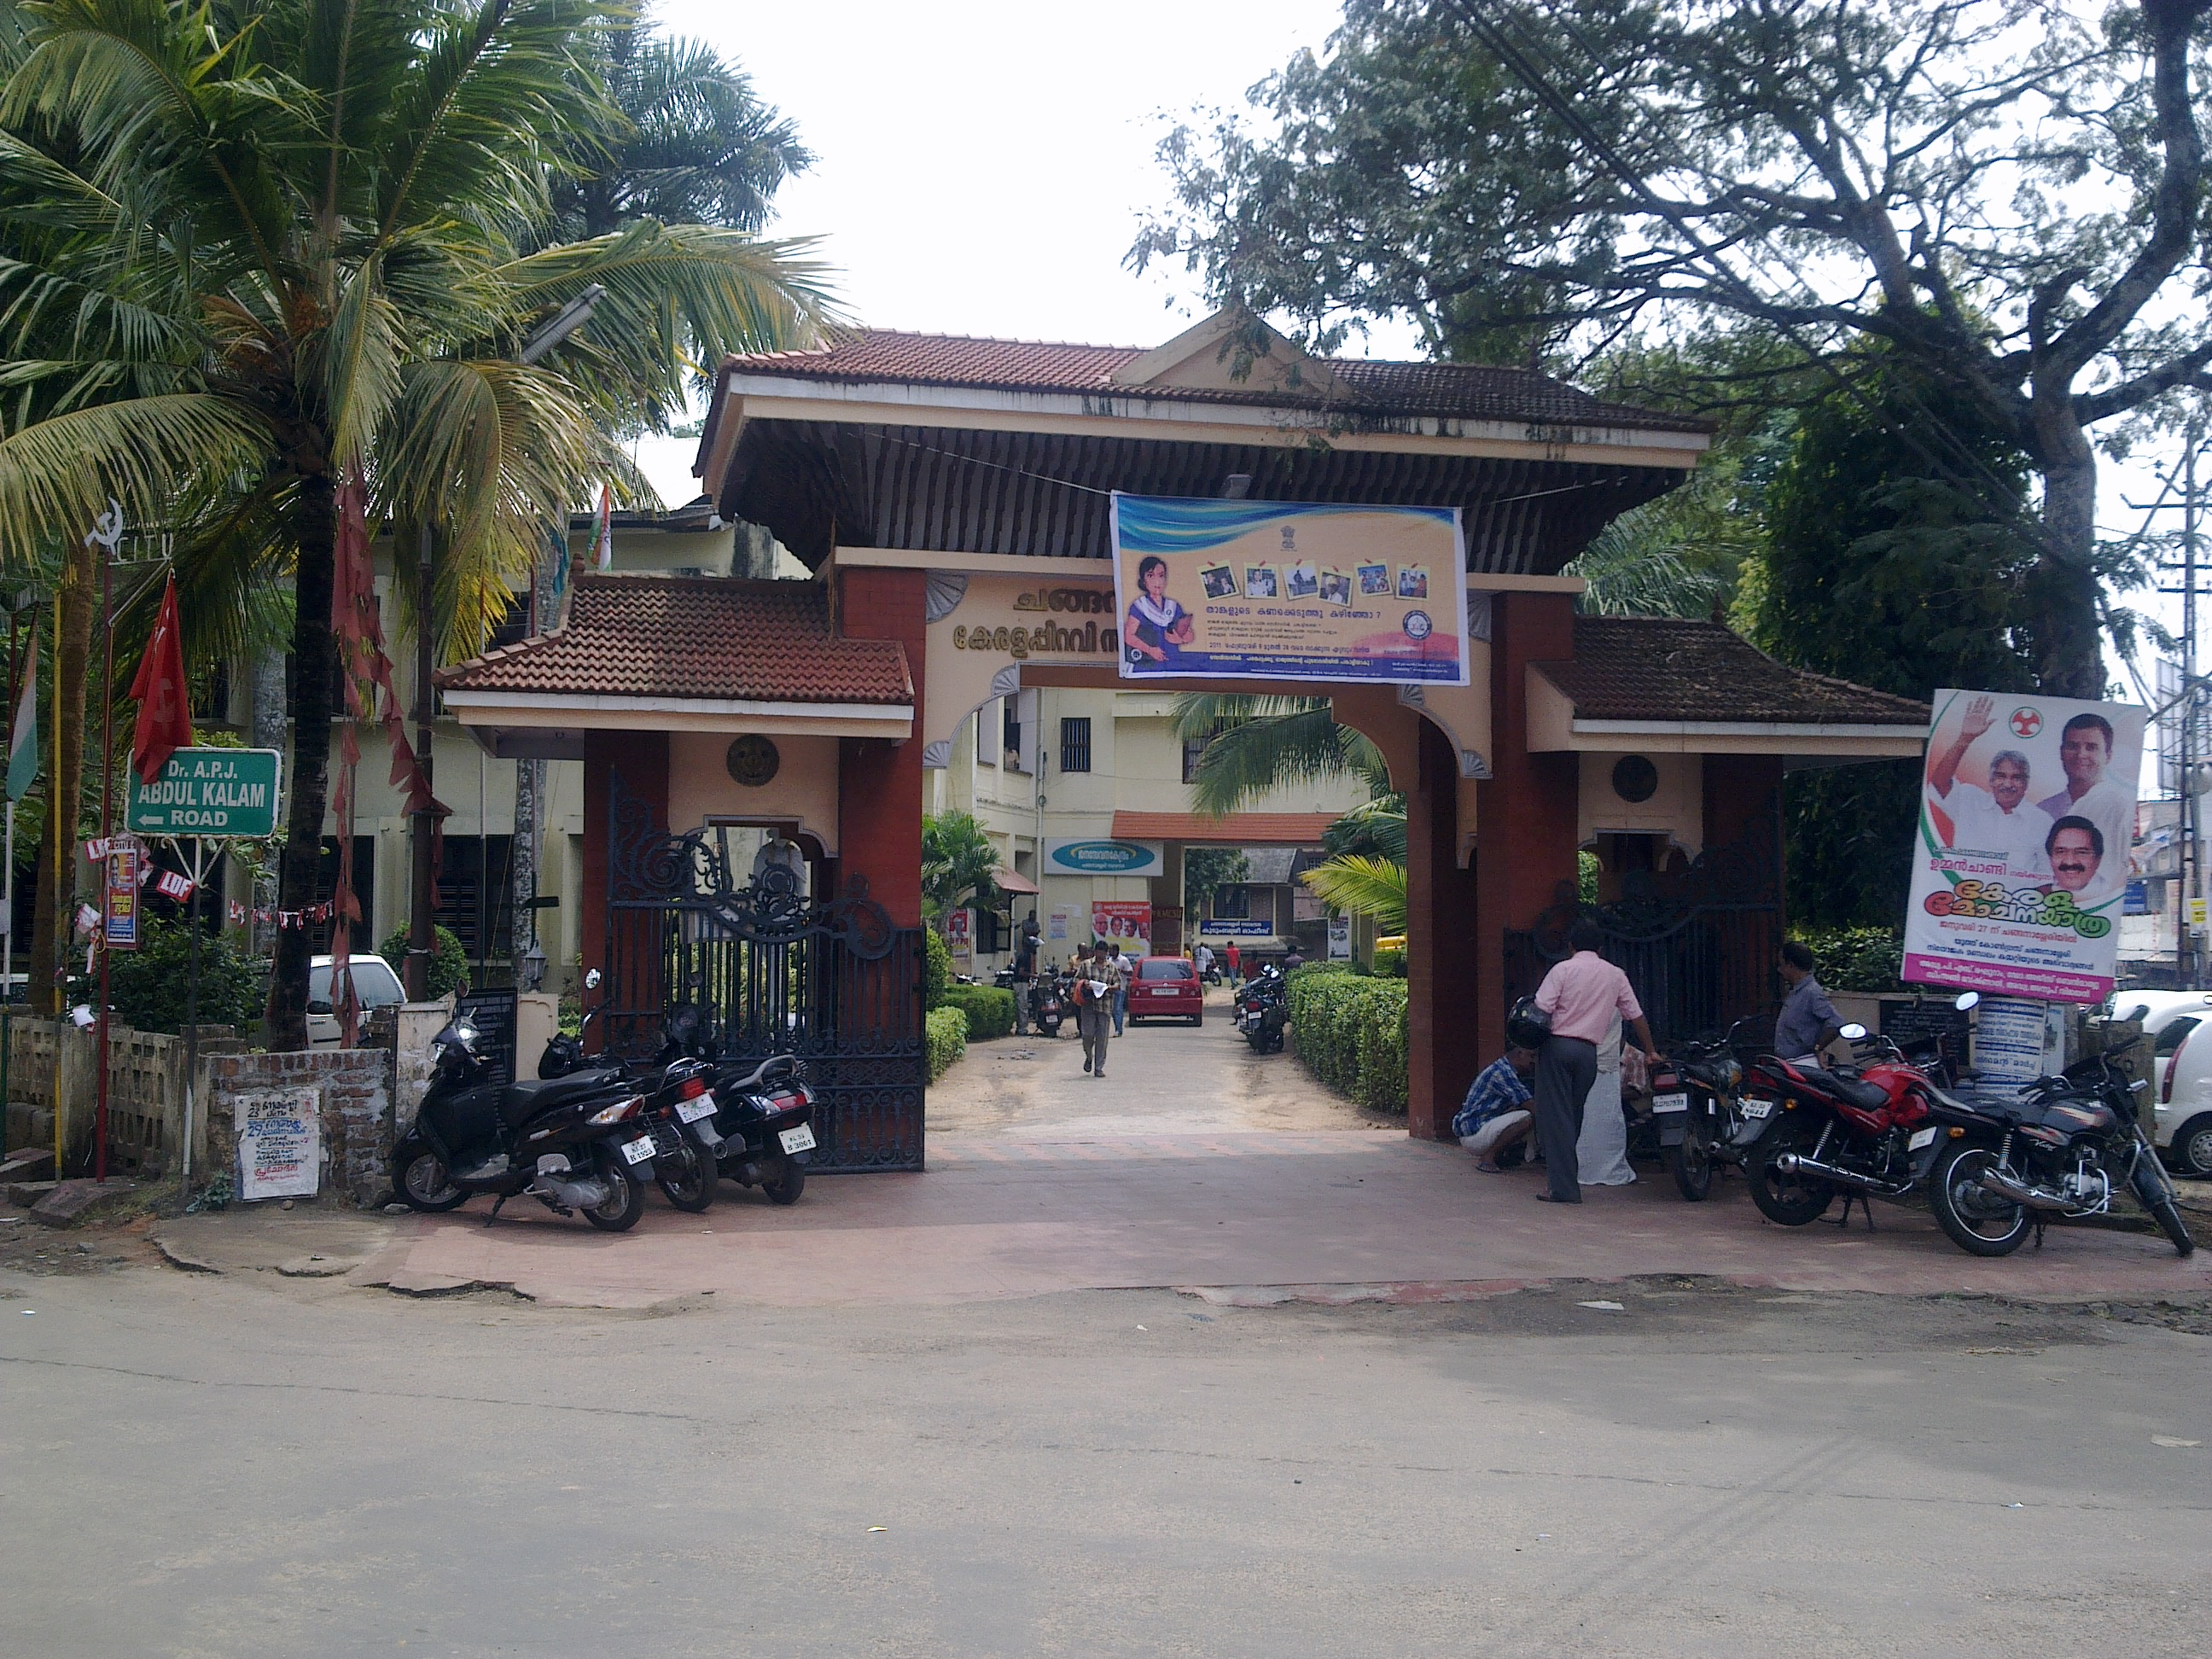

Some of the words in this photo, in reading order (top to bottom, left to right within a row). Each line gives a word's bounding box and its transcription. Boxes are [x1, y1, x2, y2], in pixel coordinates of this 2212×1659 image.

[1008, 579, 1119, 620] ചങ്ങ
[1201, 599, 1254, 620] താങ്കളുടെ
[1254, 602, 1325, 624] കണക്കെടുത്തു
[1327, 602, 1377, 624] കഴിഞ്ഞോ
[950, 618, 1102, 661] കേരളപ്പിറവി
[165, 757, 192, 781] Dr.
[193, 758, 242, 782] A.P.J.
[132, 777, 199, 809] ABDUL
[200, 777, 267, 810] KALAM
[166, 808, 230, 832] ROAD
[1928, 853, 2011, 880] ഉമ്മൻചാണ്ടി
[1923, 939, 1969, 958] നിയോജക
[1935, 912, 1978, 934] ജനുവരി
[1951, 934, 1983, 948] യൂത്ത്
[1972, 918, 1993, 936] 27
[1987, 923, 2004, 938] ന്
[1976, 937, 2030, 957] കോൺ‌ഗ്രസ്
[1918, 889, 2116, 941] മോചനയാത്ര
[1992, 950, 2046, 967] കമ്മറ്റിയുടെ